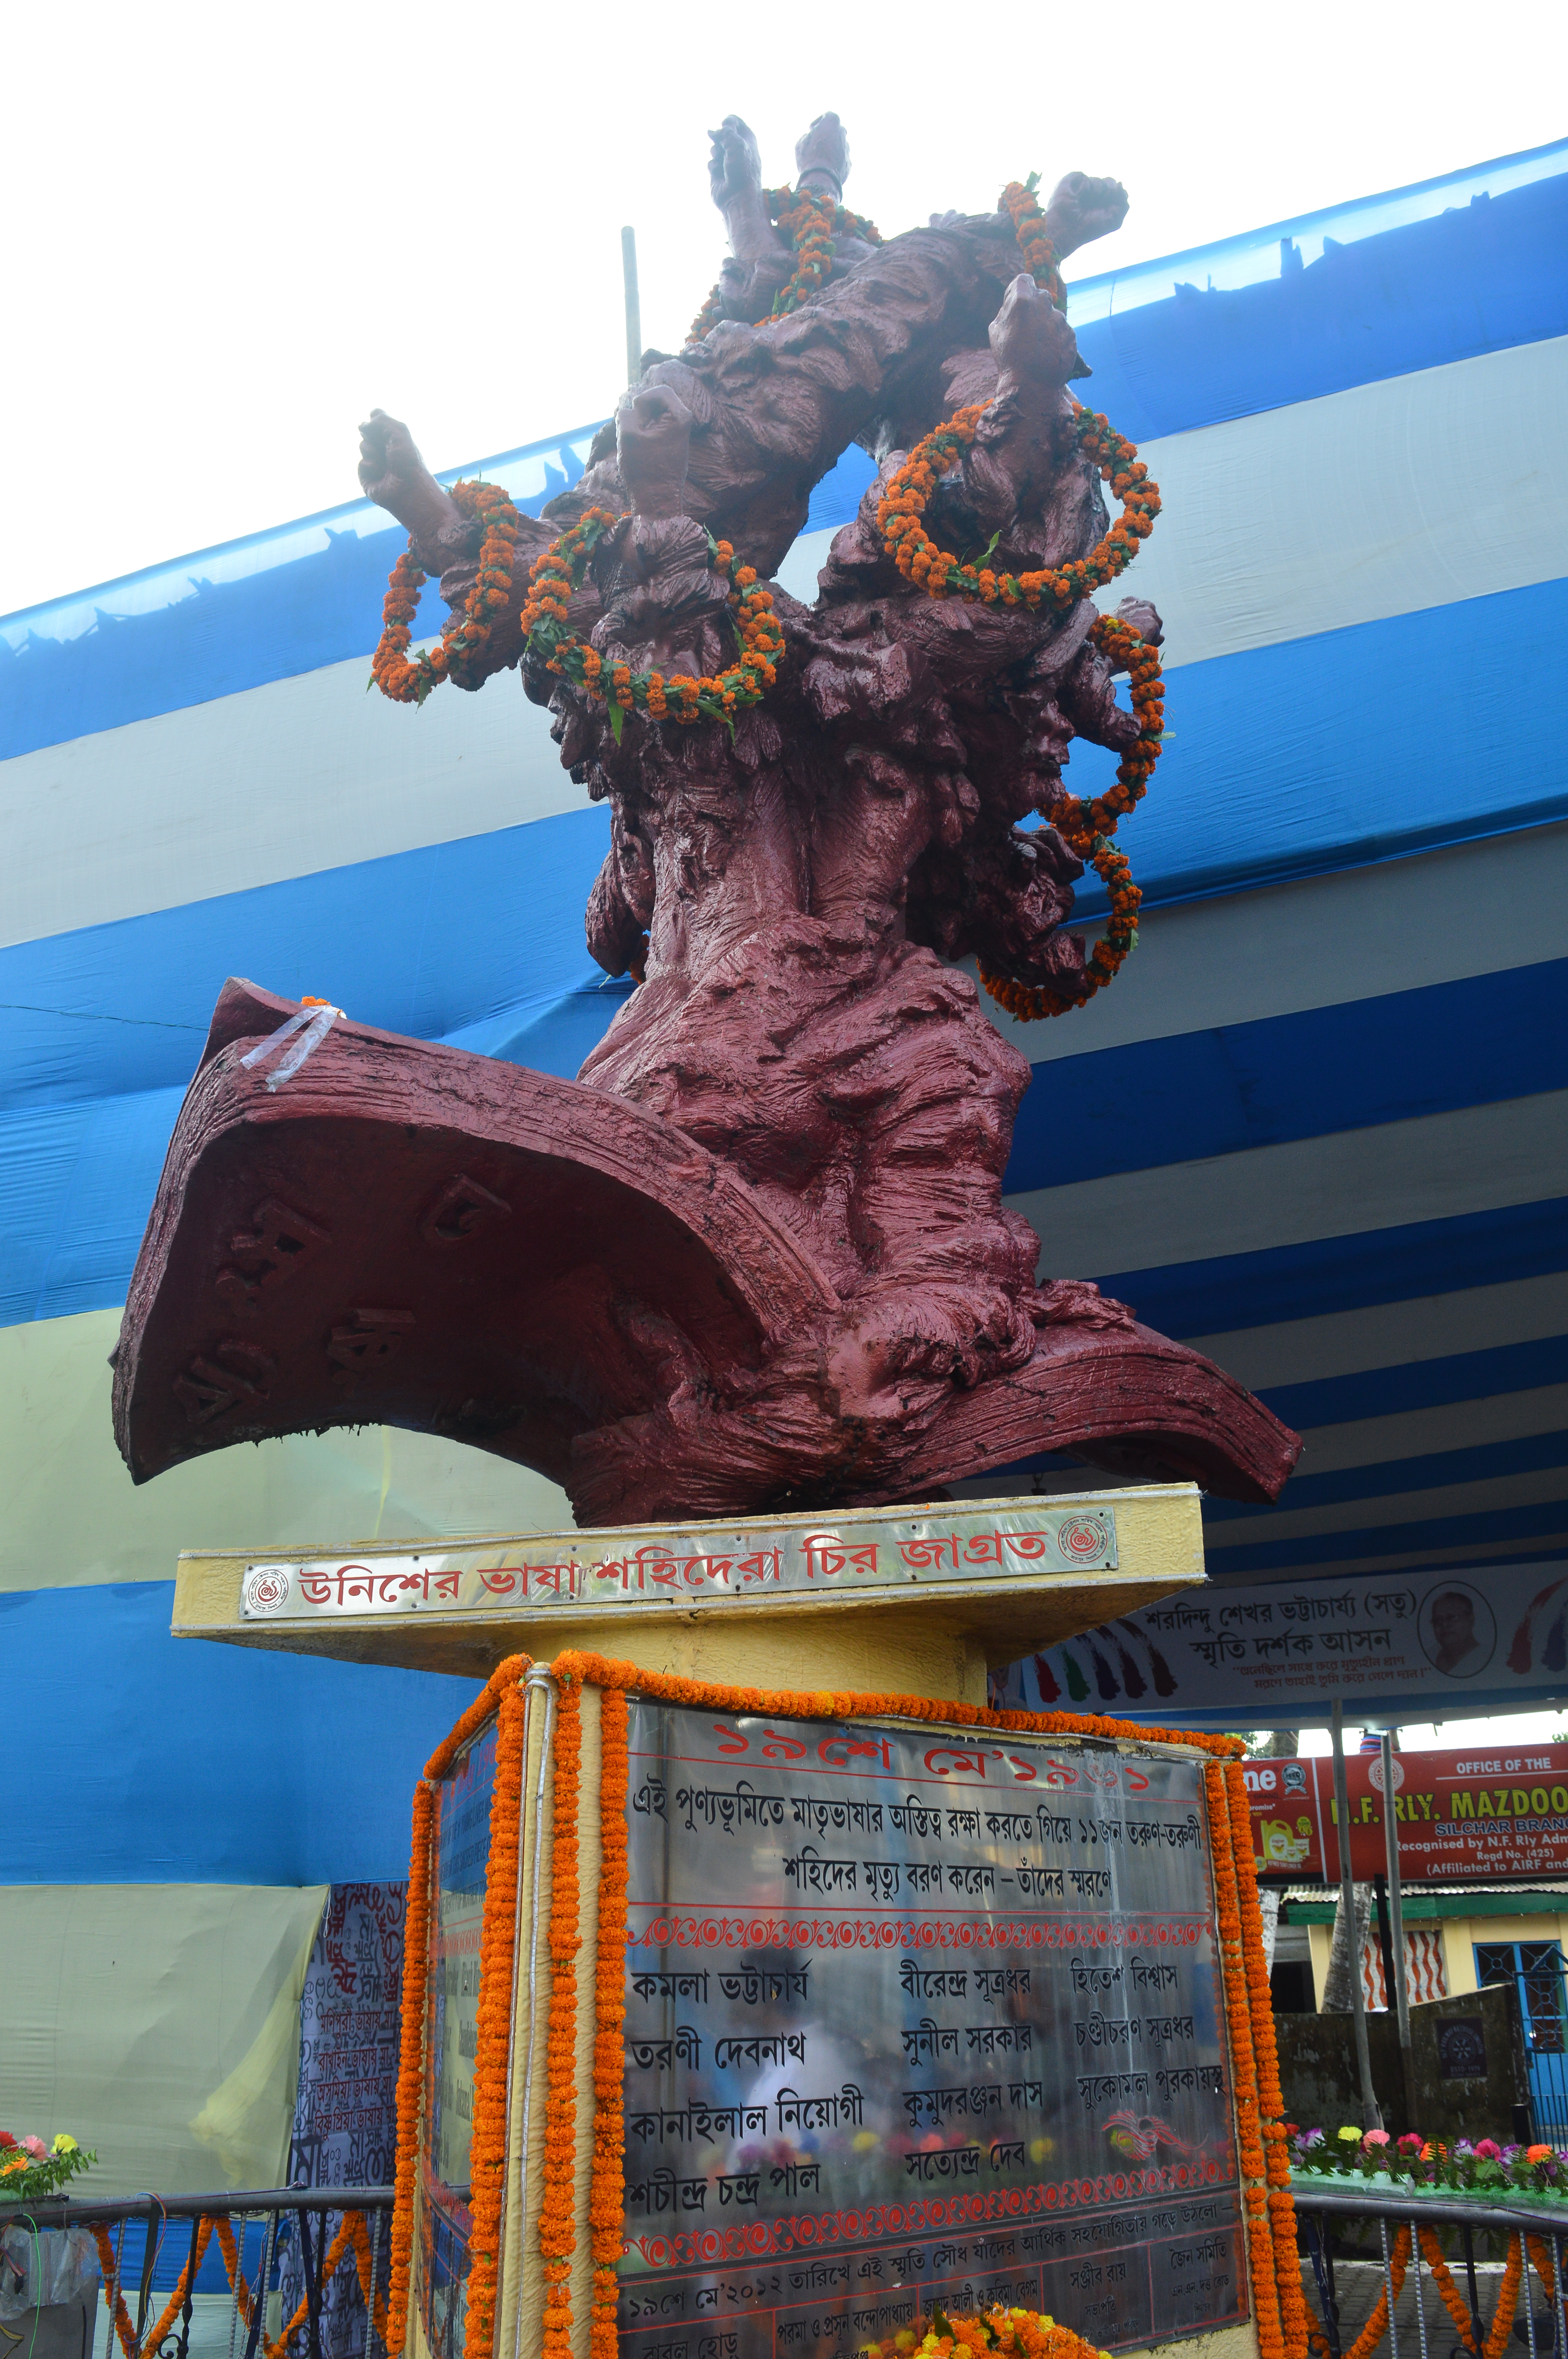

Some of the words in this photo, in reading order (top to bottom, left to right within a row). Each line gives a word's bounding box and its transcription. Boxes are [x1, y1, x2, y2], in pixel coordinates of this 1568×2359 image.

[297, 1561, 466, 1609] উনিশের
[478, 1557, 590, 1602] ভাষা
[591, 1542, 789, 1593] শহিদেরা
[789, 1528, 881, 1584] চির
[894, 1527, 1053, 1577] জাগ্রত
[1140, 1597, 1222, 1638] শরদিন্দু
[1214, 1595, 1281, 1631] শেখর
[1277, 1587, 1367, 1629] ভট্টাচাৰ্য্য
[1367, 1582, 1418, 1625] (সতু)
[1188, 1623, 1255, 1677] স্মৃতি
[1239, 1657, 1292, 1681] এনেছিলে
[1251, 1674, 1290, 1696] মরণে
[1250, 1624, 1321, 1663] দর্শক
[1282, 1657, 1320, 1681] সাথে
[1283, 1669, 1323, 1696] তাহাই
[1312, 1667, 1345, 1693] তুমি
[1314, 1654, 1345, 1677] করে
[1338, 1670, 1374, 1692] করে
[1316, 1623, 1399, 1658] আসন
[1335, 1644, 1386, 1678] মৃত্যুহীন
[1367, 1663, 1401, 1688] মেলে
[1382, 1648, 1413, 1676] প্রাণ
[1395, 1661, 1433, 1691] দান।"
[714, 1721, 897, 1777] ১৯শে
[1452, 1755, 1508, 1783] OFFICE
[1502, 1748, 1527, 1783] OF
[1525, 1750, 1557, 1775] THE
[626, 1761, 675, 1829] এই
[670, 1775, 789, 1837] পুণ্যভূমিতে
[775, 1843, 865, 1896] শহিদের
[786, 1794, 887, 1840] মাতৃভাষার
[859, 1856, 906, 1908] মৃত্যু
[884, 1788, 945, 1846] অস্তিত্ব
[901, 1857, 1000, 1898] বরণ করেন
[944, 1802, 983, 1841] রক্ষা
[982, 1806, 1039, 1849] করতে
[1011, 1855, 1068, 1900] তাঁদের
[1030, 1801, 1074, 1850] গিয়ে
[1065, 1865, 1116, 1904] স্মরণে
[1074, 1816, 1125, 1850] ১১জন
[1120, 1811, 1203, 1855] তরুণ-তরুণী
[1393, 1834, 1466, 1859] Recognised
[1432, 1855, 1499, 1882] Affiliated
[1428, 1813, 1521, 1847] SILCHAR
[1475, 1844, 1510, 1870] Regd
[1490, 1855, 1513, 1877] to
[1484, 1829, 1543, 1855] N.F.Rly
[1503, 1843, 1528, 1865] No.
[1509, 1851, 1549, 1878] AIRF
[1528, 1843, 1556, 1866] 425)
[627, 1965, 714, 2011] কমলা
[717, 1954, 816, 2012] ভট্টাচার্য
[891, 1956, 969, 2004] বীরেন্দ্র
[970, 1965, 1033, 2010] সূত্রধর
[1062, 1951, 1130, 1997] হিতেশ
[1124, 1953, 1183, 1996] বিশ্বাস
[315, 2002, 357, 2041] মণিপুরী
[349, 2045, 382, 2072] ভাষায়
[350, 2005, 386, 2035] ভাষায়
[375, 2041, 394, 2072] মা
[378, 2005, 399, 2033] মা
[625, 2020, 709, 2079] তরণী
[705, 2028, 809, 2073] দেবনাথ
[896, 2010, 967, 2070] সুনীল
[959, 2020, 1038, 2059] সরকার
[1069, 2006, 1145, 2052] চণ্ডীচরণ
[1138, 2009, 1197, 2055] সূত্রধর
[310, 2103, 359, 2149] বিষ্ণুপ্রিয়া
[314, 2070, 357, 2107] অসমিয়া
[351, 2070, 386, 2103] ভাষায়
[354, 2102, 389, 2132] ভাষায়
[626, 2093, 771, 2149] কানাইলাল
[772, 2080, 866, 2135] নিয়োগী
[899, 2080, 1007, 2135] কুমুদরঞ্জন
[1007, 2073, 1049, 2110] দাস
[1076, 2067, 1156, 2114] সুকোমল
[1155, 2059, 1228, 2107] পুরকায়স্থ
[628, 2154, 713, 2223] শচীন্দ্ৰ
[713, 2168, 768, 2212] চন্দ্ৰ
[760, 2155, 829, 2200] পাল
[900, 2142, 986, 2190] সত্যেন্দ্ৰ
[982, 2135, 1035, 2175] দেব
[622, 2288, 695, 2322] ১৯শে
[724, 2270, 792, 2306] ২০১২
[771, 2314, 816, 2352] পরমা
[783, 2259, 857, 2299] তারিখে
[810, 2309, 859, 2344] ও প্ৰসূন
[852, 2253, 889, 2288] এই
[853, 2294, 920, 2333] বন্দোপাধ্যায়
[886, 2245, 931, 2287] স্মৃতি
[920, 2277, 982, 2324] জাম্মদ আলী
[930, 2238, 974, 2275] সৌধ
[971, 2234, 1023, 2269] যাদের
[982, 2276, 1021, 2313] করিমা
[1009, 2274, 1047, 2301] বেগম
[1012, 2222, 1073, 2259] আৰ্থিক
[1065, 2258, 1111, 2294] সঞ্জীব
[1069, 2209, 1155, 2249] সহযোগিতায়
[1102, 2260, 1134, 2284] রায়
[1150, 2205, 1183, 2235] গড়ে
[1168, 2276, 1204, 2305] এন,এন,দ
[1178, 2194, 1225, 2234] উঠলো
[1196, 2269, 1238, 2293] দত্ত রোড